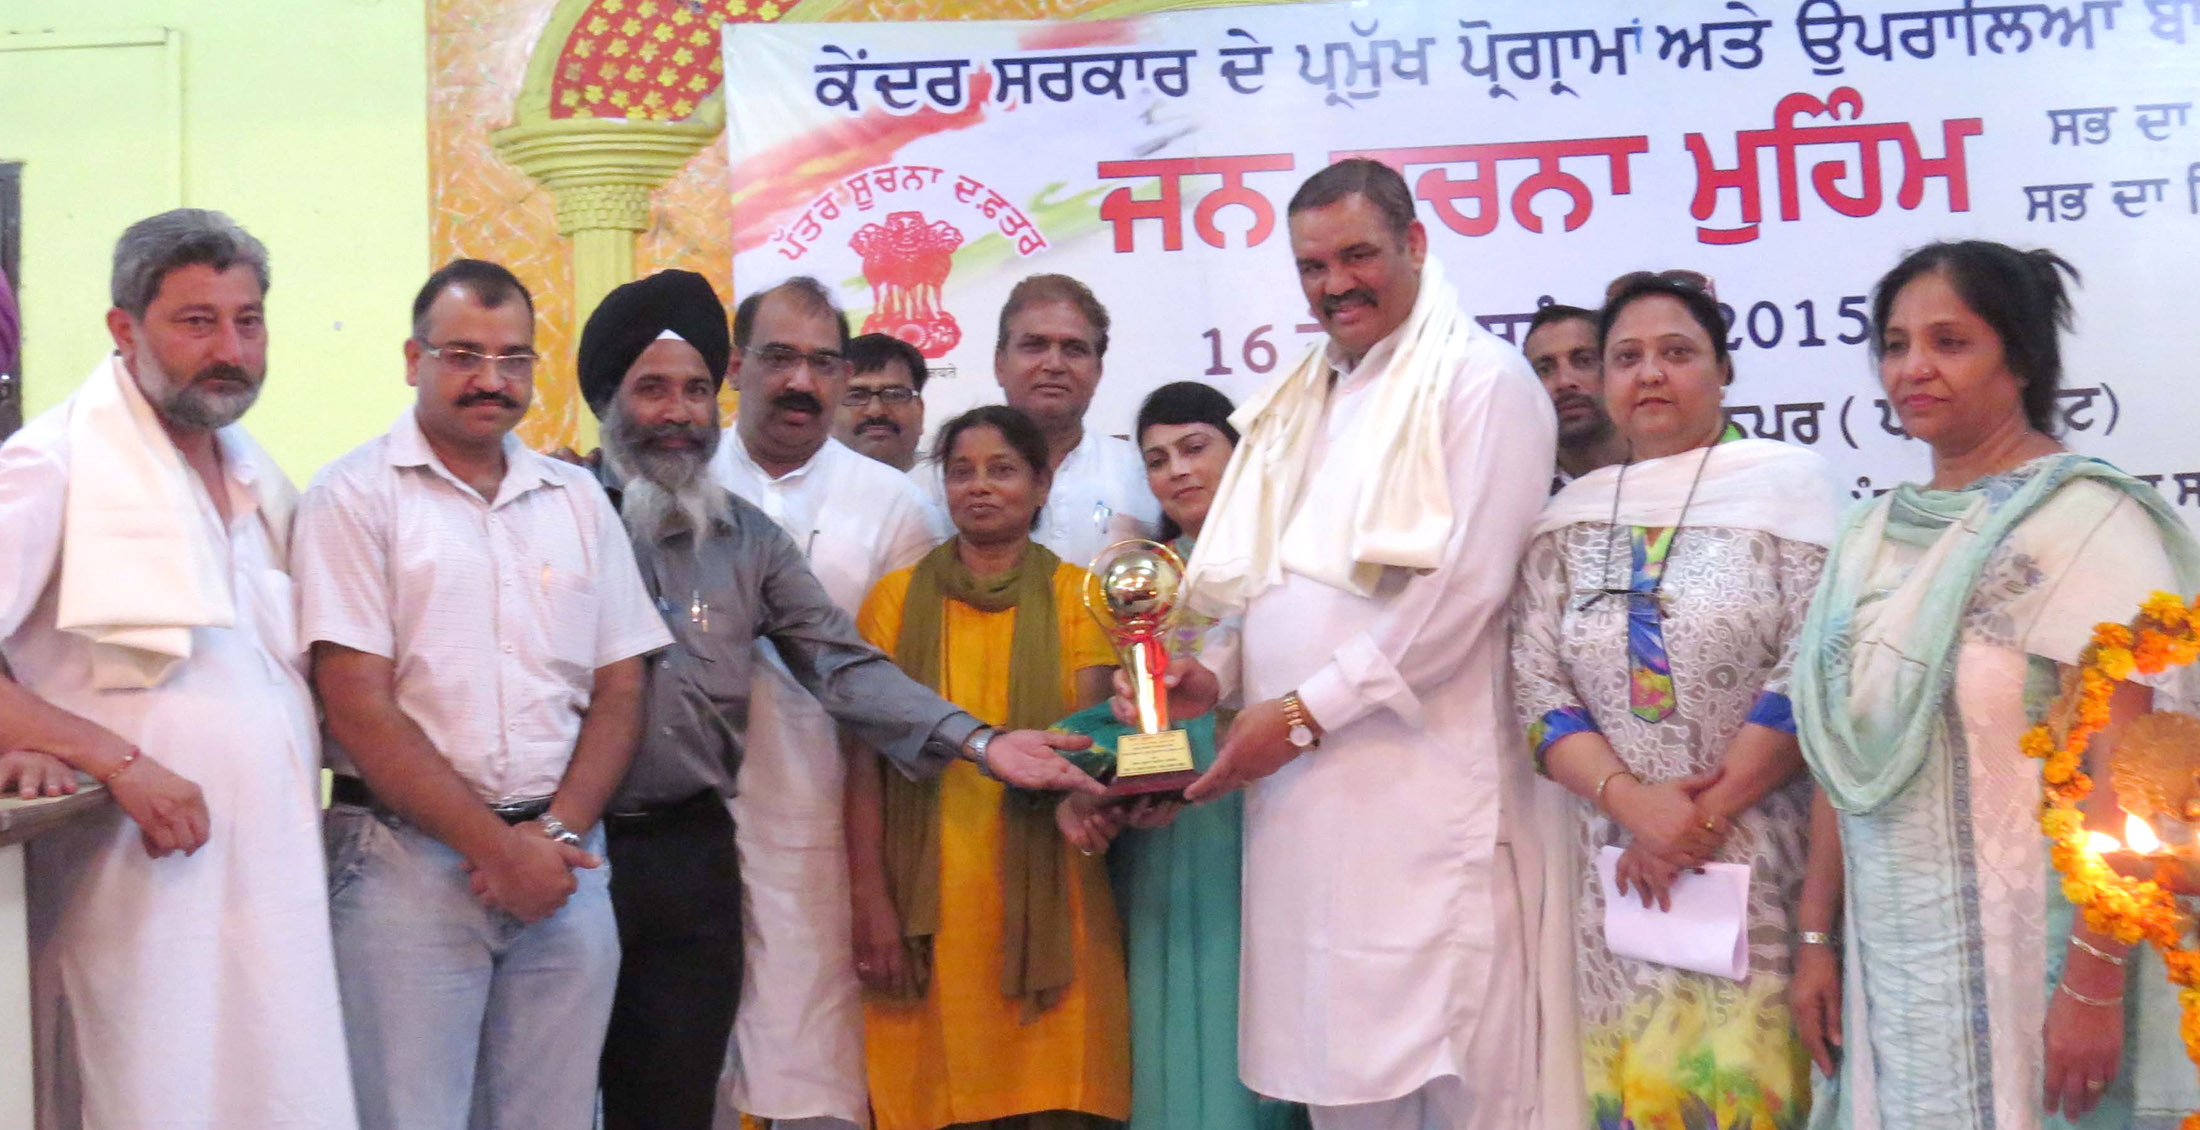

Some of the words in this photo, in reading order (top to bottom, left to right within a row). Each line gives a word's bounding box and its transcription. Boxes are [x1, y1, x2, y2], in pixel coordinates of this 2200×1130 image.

[802, 32, 977, 122] ਕੇਂਦਰ
[987, 44, 1200, 112] ਸਰਕਾਰ
[1209, 9, 1280, 108] ਦੇ
[1286, 9, 1447, 124] ਪ੍ਰਮੁੱਖ
[1449, 5, 1650, 110] ਪ੍ਰੋਹूਾਮਾਂ
[1649, 0, 1784, 81] ਅਤੇ
[1785, 0, 2131, 80] ਉਪਰਾਲਿਆ
[2034, 91, 2132, 154] ਸਭ
[2126, 91, 2197, 149] ਦਾ
[762, 181, 850, 270] ਪੱਤਰ
[832, 159, 949, 218] ਸੂਚਨਾ
[946, 166, 1052, 264] ਦਫ਼ਤਰ
[1082, 135, 1310, 271] ਜਨ
[1410, 126, 1664, 251] ਚਨਾ
[1668, 78, 1999, 260] ਮੁਹਿੰਮ
[2008, 169, 2104, 234] ਸਭ
[2100, 167, 2174, 228] ਦਾ
[1196, 319, 1286, 382] 16
[1715, 286, 1873, 356] 2015